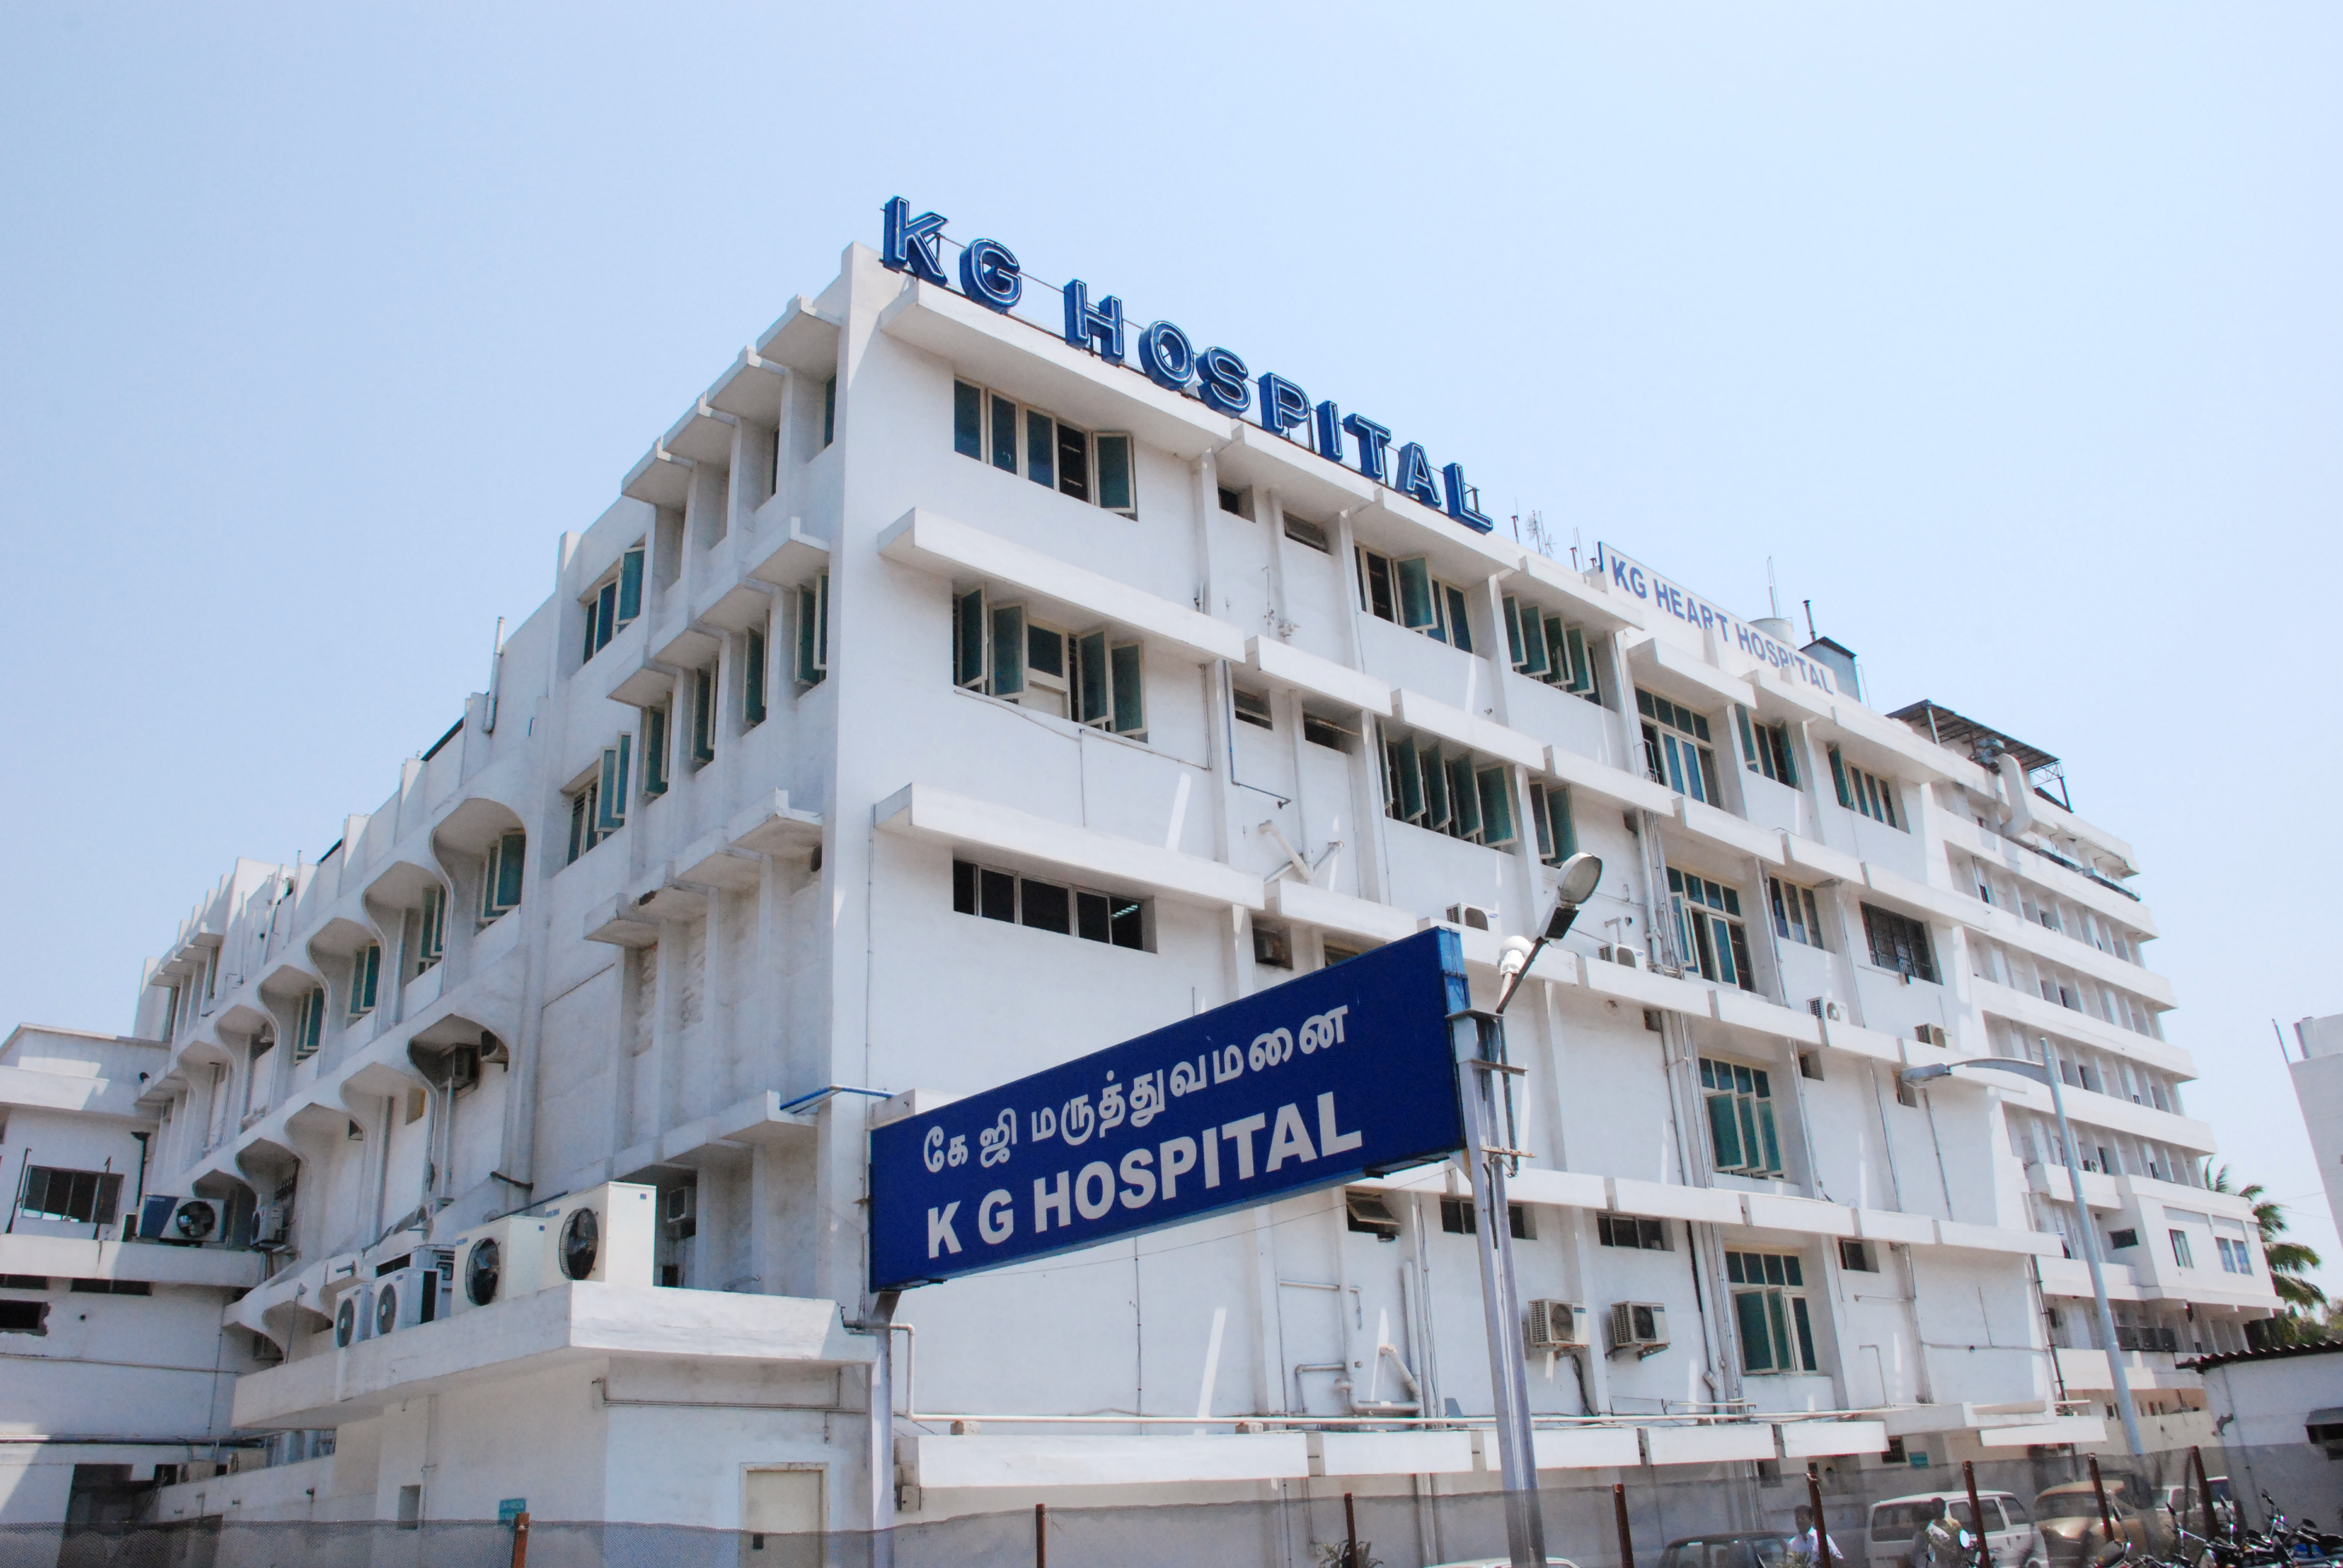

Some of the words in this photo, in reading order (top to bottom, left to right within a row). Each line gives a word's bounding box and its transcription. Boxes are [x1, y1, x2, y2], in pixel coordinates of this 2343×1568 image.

[877, 189, 1031, 319] KG
[1055, 272, 1500, 540] HOSPITAL
[1610, 543, 1654, 607] KG
[1648, 573, 1734, 651] HEART
[1734, 615, 1840, 699] HOSPITAL
[1023, 1002, 1352, 1157] மருத்துவமனை
[909, 1111, 978, 1175] கே
[972, 1094, 1025, 1181] ஜி
[1027, 1082, 1370, 1240] HOSPITAL
[914, 1176, 1027, 1272] KG